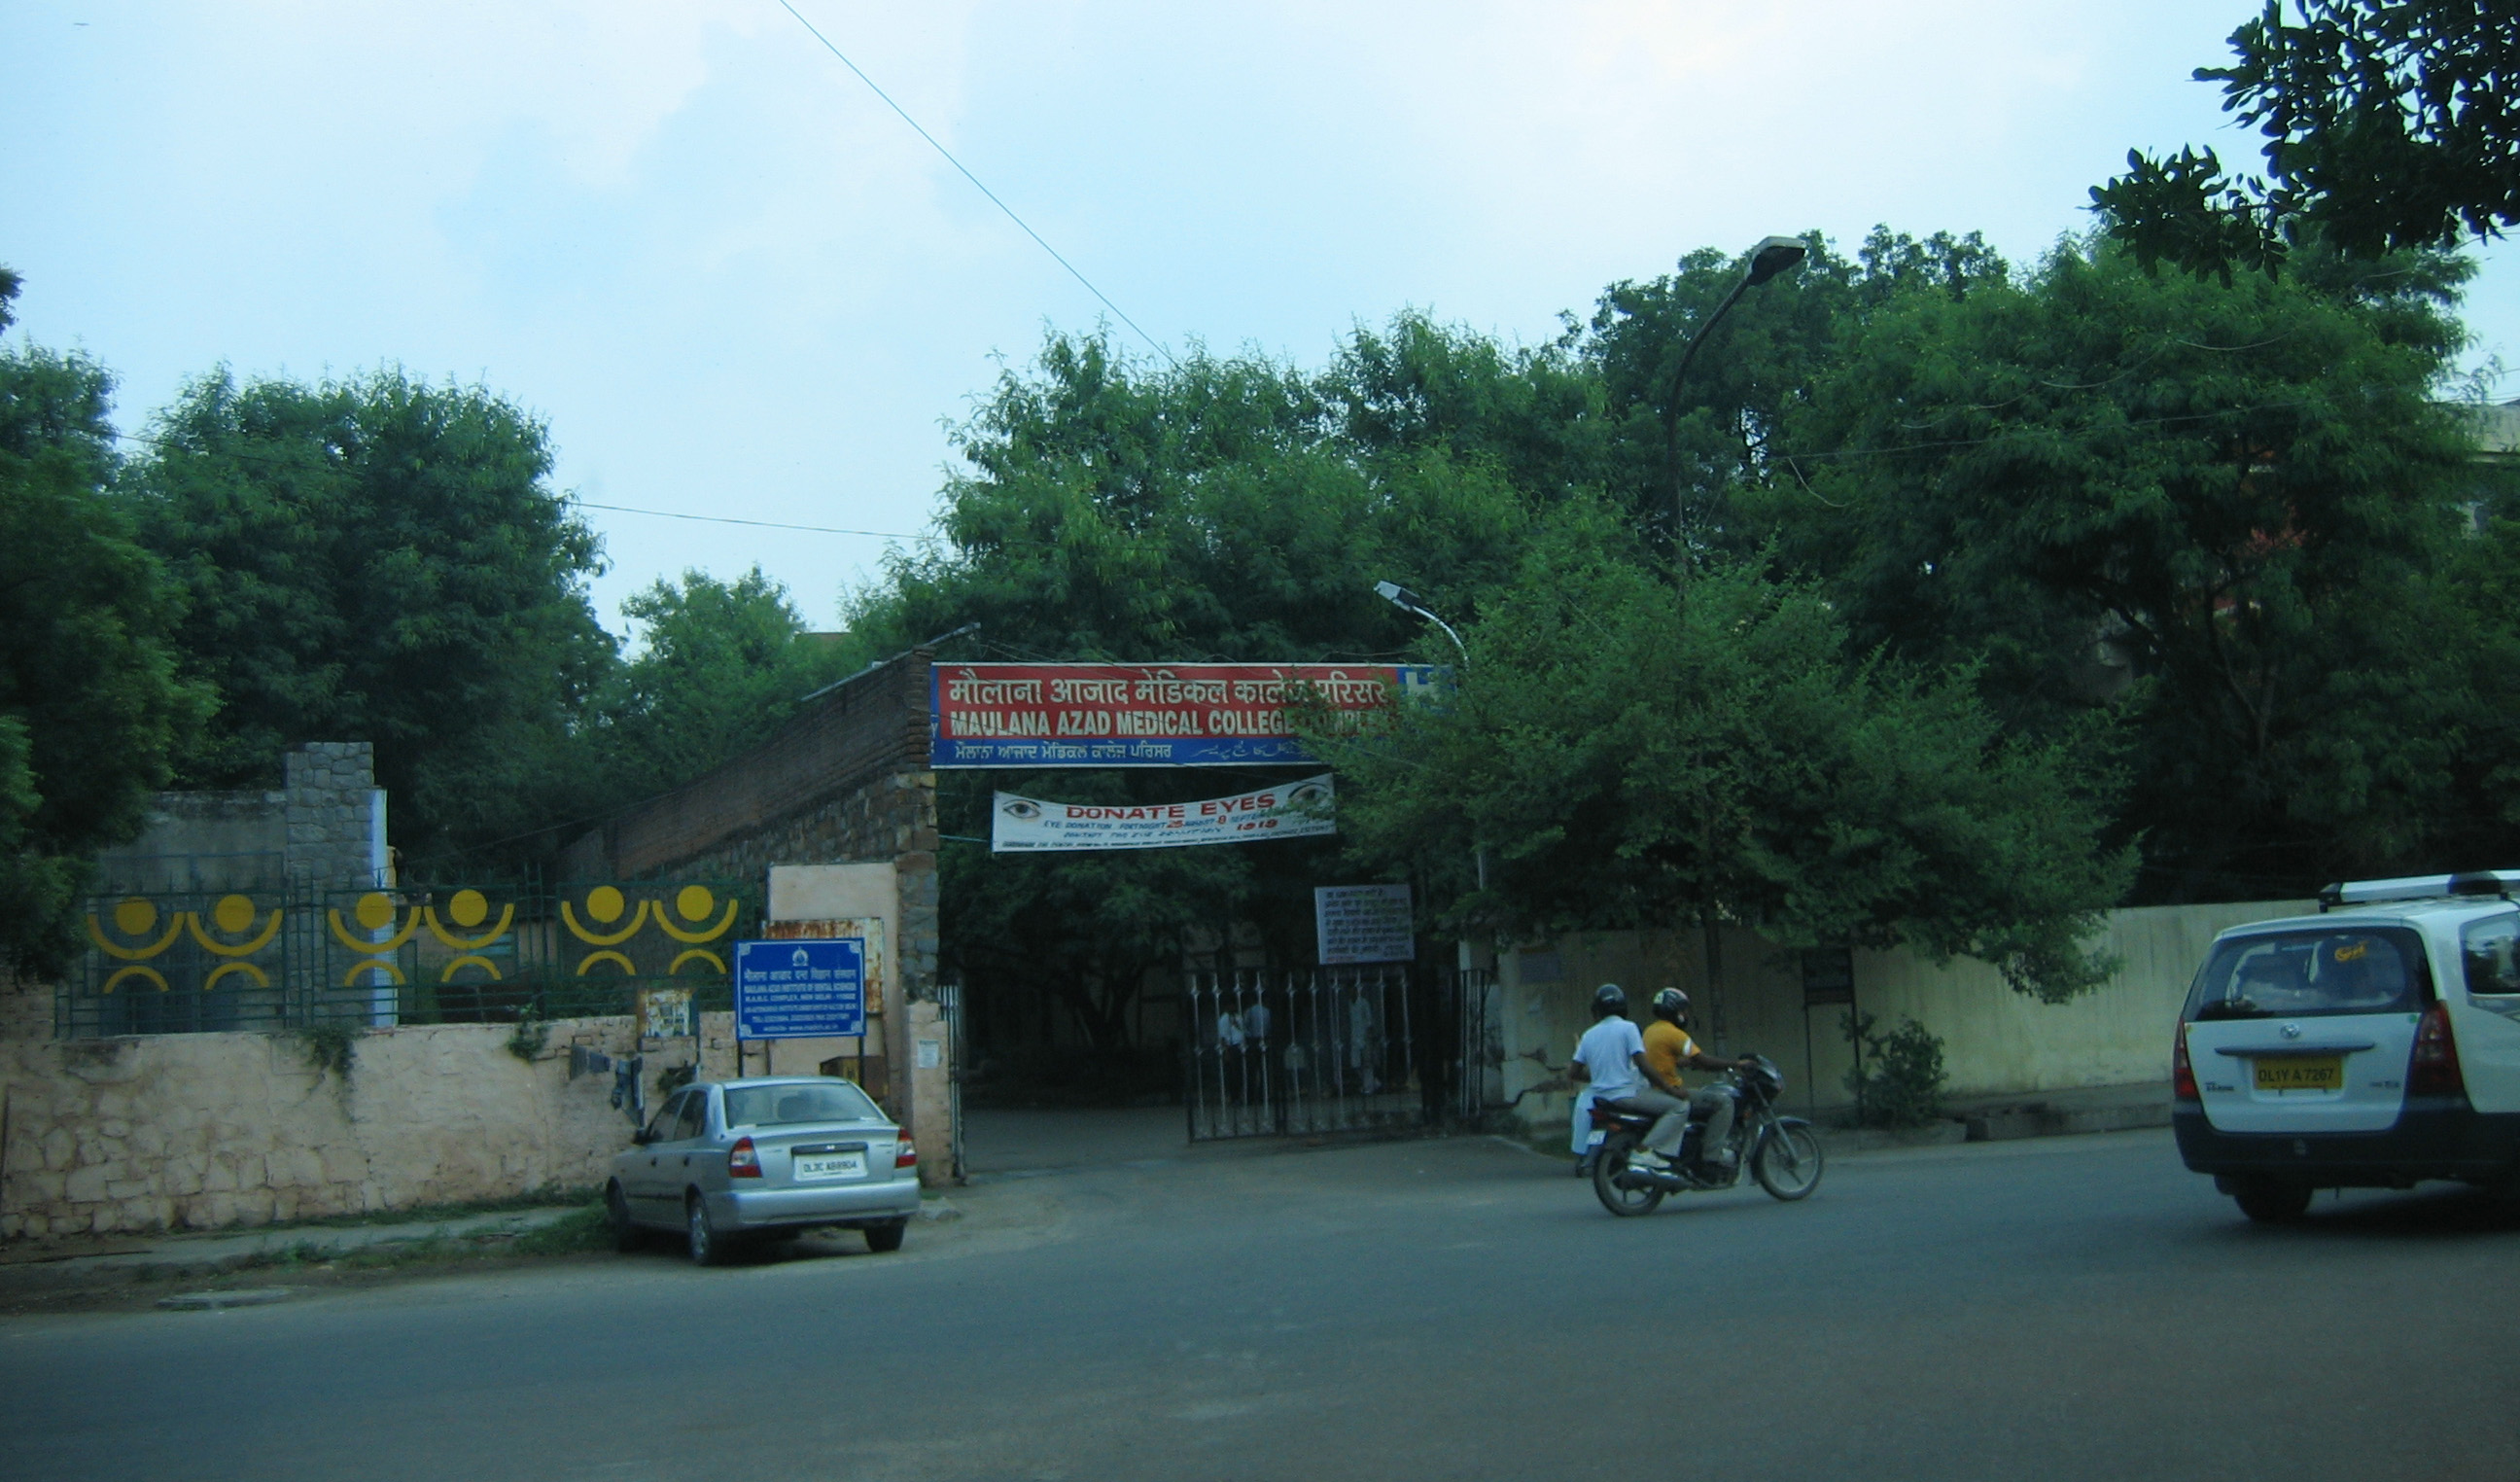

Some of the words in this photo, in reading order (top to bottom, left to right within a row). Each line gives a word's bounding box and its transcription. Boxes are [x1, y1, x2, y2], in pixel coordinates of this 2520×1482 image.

[941, 661, 1047, 711] मौलाना
[1042, 668, 1131, 711] आजाद
[1133, 660, 1232, 713] मेडिकल
[1232, 661, 1315, 707] काले
[1312, 662, 1391, 709] परिसर
[948, 707, 1058, 742] MAULANA
[1050, 705, 1114, 741] AZAD
[1110, 705, 1207, 741] MEDICAL
[1205, 705, 1304, 740] COLLEGE
[1063, 798, 1191, 821] DONATE
[1197, 786, 1279, 821] EYES
[736, 962, 772, 986] मौलाना
[767, 965, 797, 987] आजाद
[786, 963, 815, 984] दन्त
[802, 961, 835, 985] विज्ञाना
[831, 964, 861, 983] संस्थान